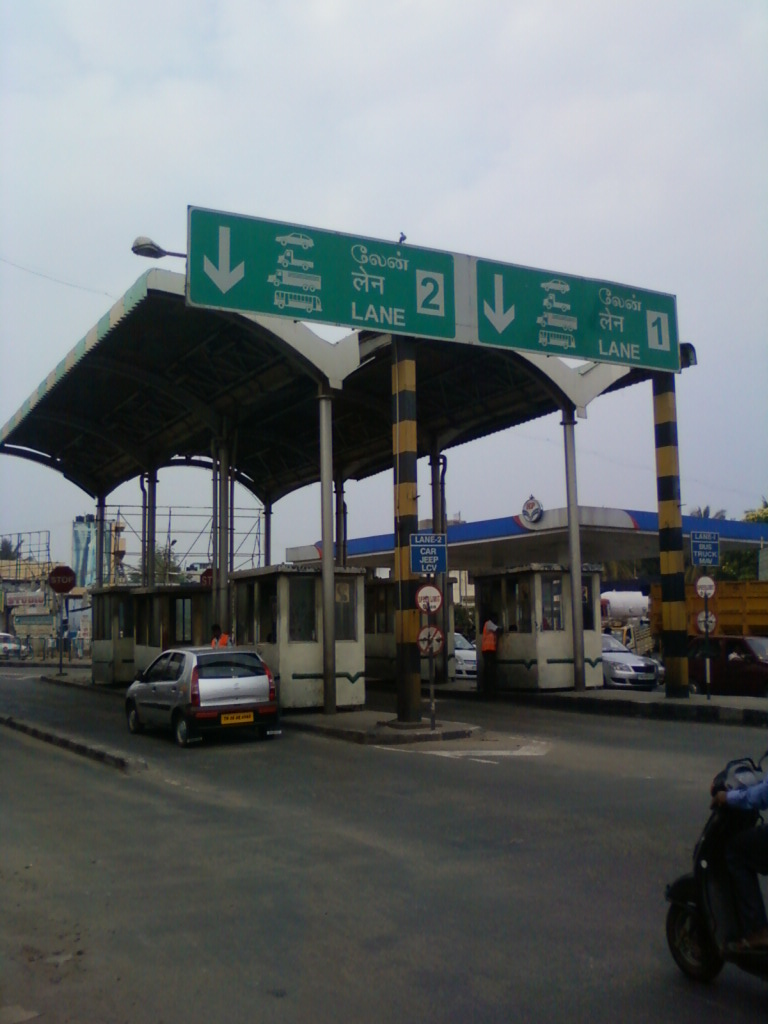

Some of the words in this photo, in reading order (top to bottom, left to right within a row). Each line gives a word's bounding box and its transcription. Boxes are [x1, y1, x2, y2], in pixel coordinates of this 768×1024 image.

[343, 239, 412, 273] லேன்
[349, 260, 387, 297] लेन
[346, 295, 409, 331] LANE
[593, 299, 629, 333] लेन
[594, 281, 646, 317] லேன்
[595, 333, 644, 365] LANE
[415, 544, 443, 560] CAR
[415, 554, 443, 569] JEEP
[414, 563, 445, 579] LCV
[411, 529, 449, 549] LANE-2